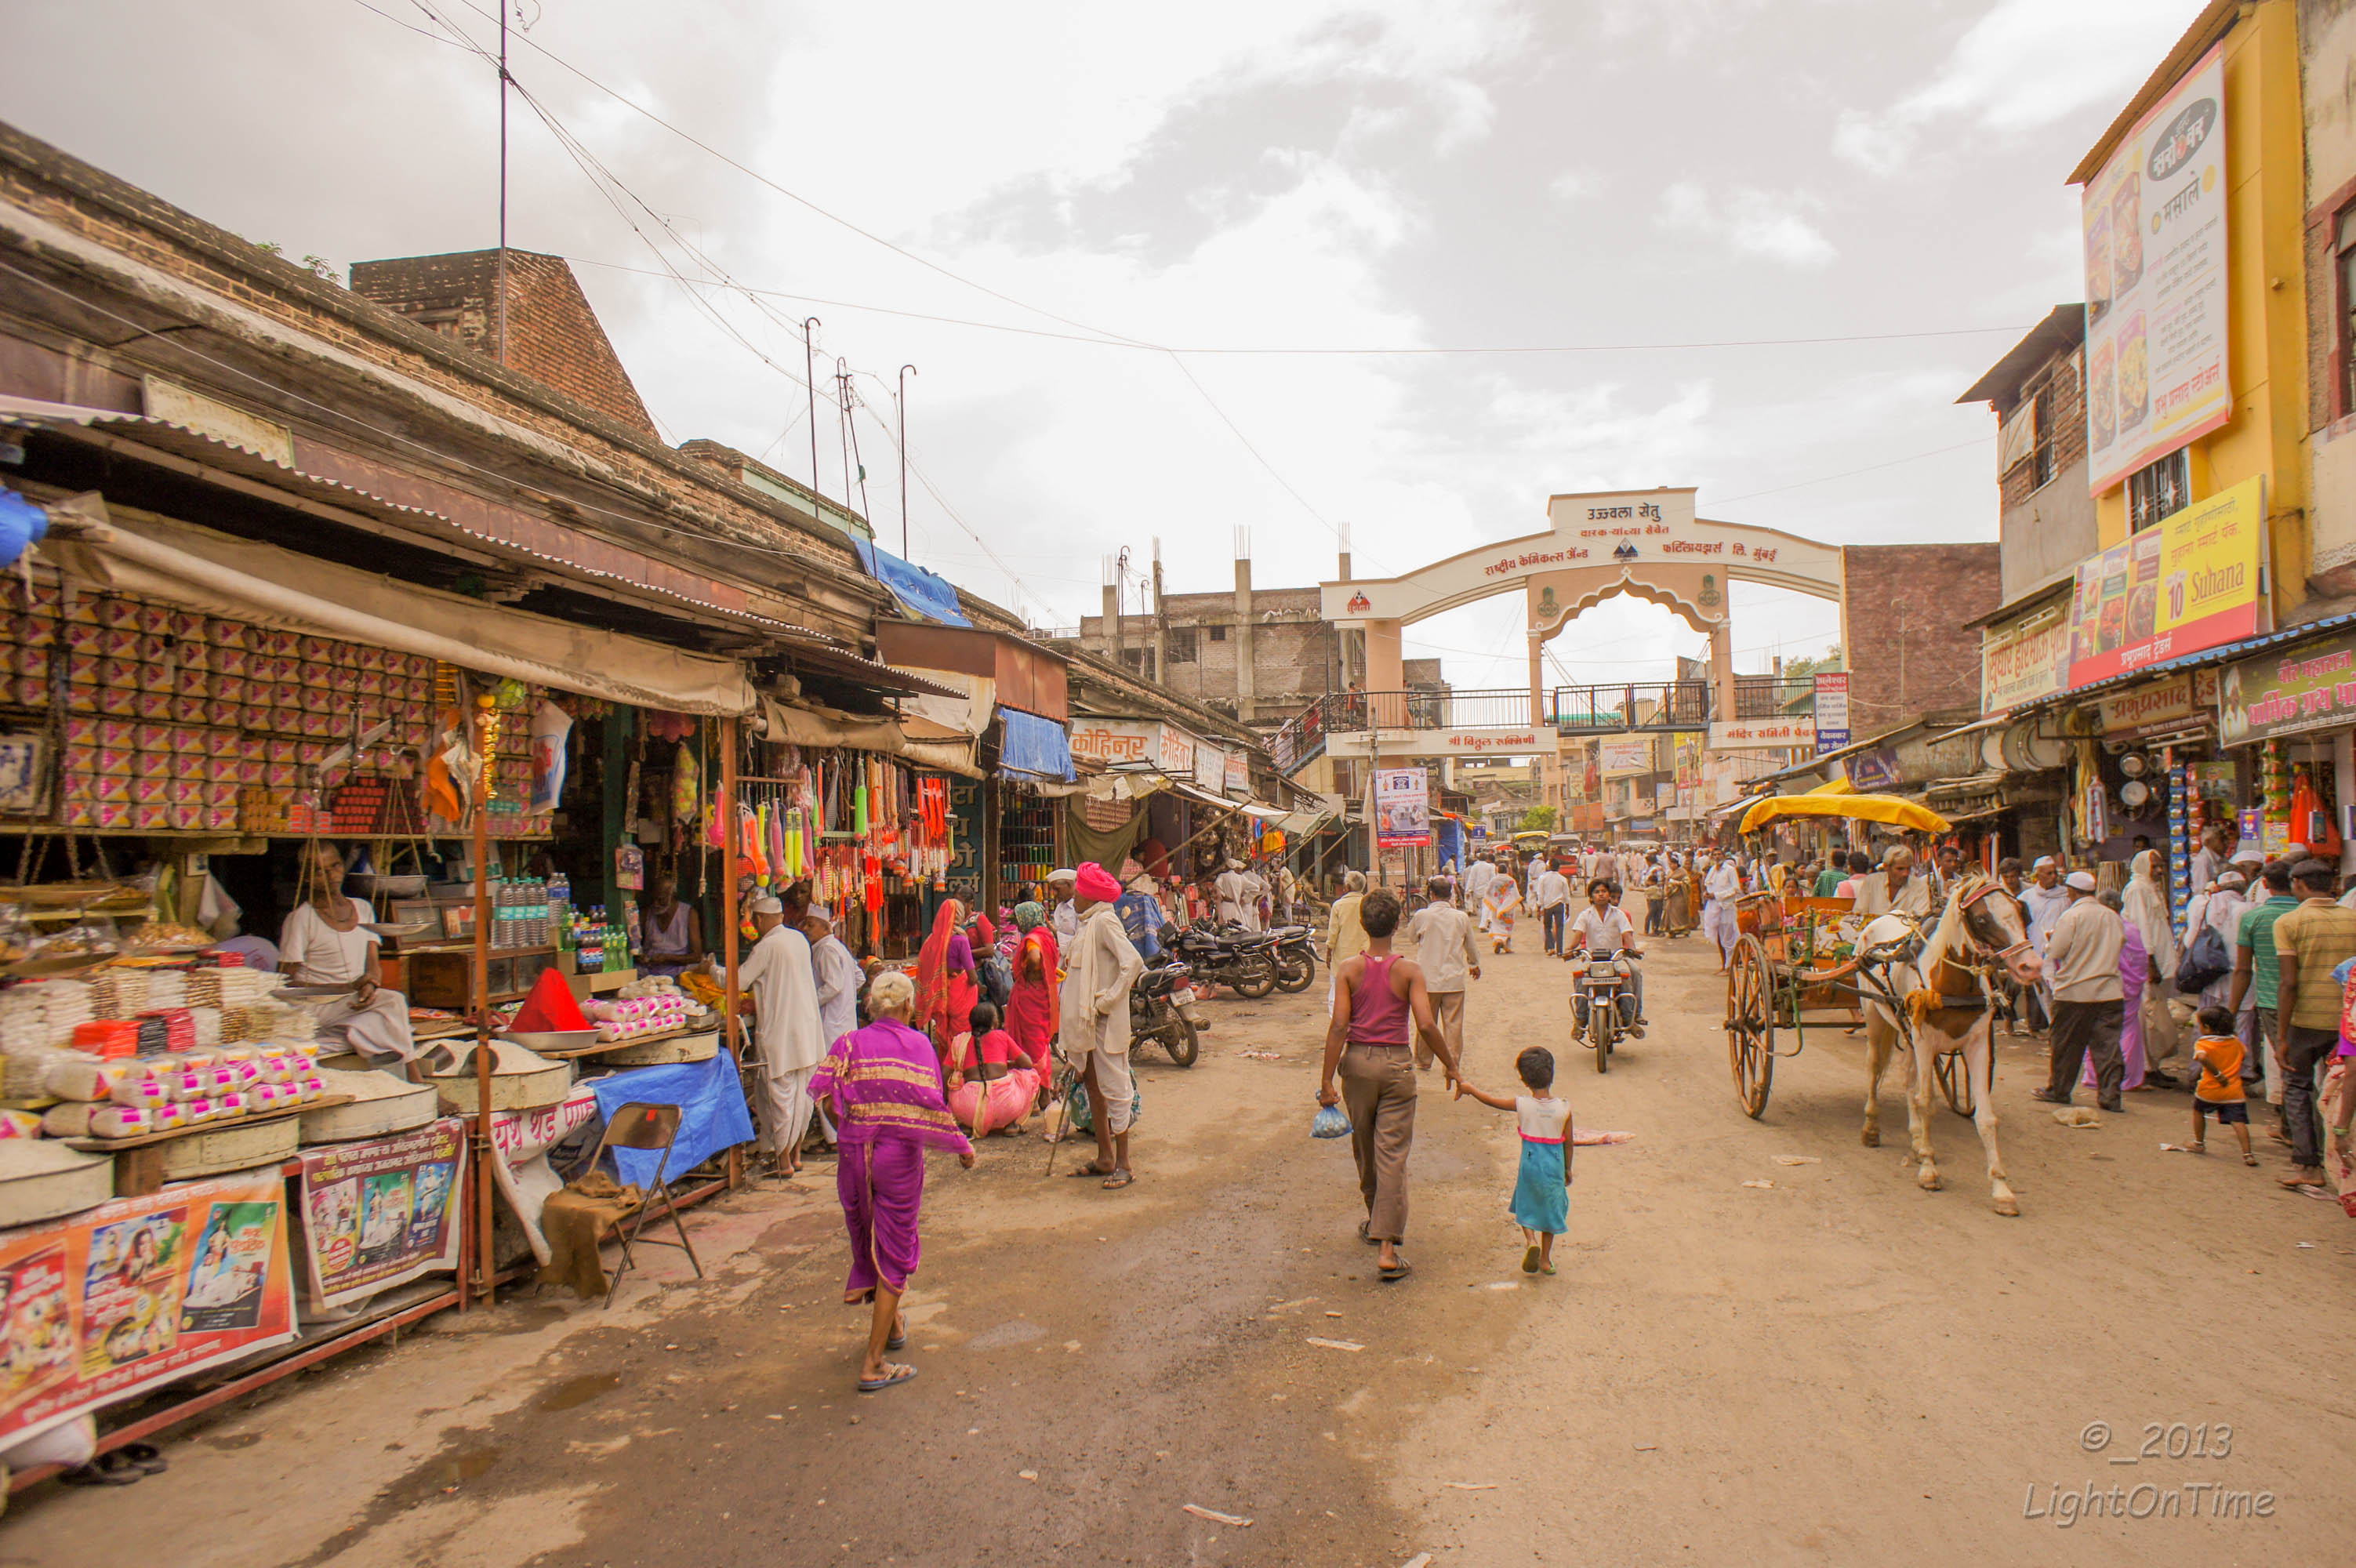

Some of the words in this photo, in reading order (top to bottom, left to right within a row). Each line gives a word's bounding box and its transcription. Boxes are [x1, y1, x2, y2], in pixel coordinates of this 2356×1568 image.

[2146, 112, 2210, 181] सरोवर
[2155, 166, 2206, 227] मसाले
[2187, 353, 2224, 397] स्टोअर्स
[2147, 390, 2176, 424] प्रभु
[2162, 377, 2194, 412] प्रसाद
[1482, 553, 1525, 581] राष्ट्रीय
[1514, 545, 1567, 570] केमिकल्स
[1562, 539, 1592, 564] अ‍ॅन्ड
[1577, 521, 1610, 541] वार क
[1583, 499, 1636, 523] उज्ज्वला
[1607, 521, 1645, 539] यांच्या
[1635, 496, 1668, 524] सेतु
[1640, 517, 1675, 538] सेवेत
[1658, 533, 1727, 557] फर्टिलायझर्स
[1727, 535, 1750, 560] लि.
[1751, 542, 1783, 565] मुंबई
[2165, 538, 2198, 575] सुहाना
[2193, 523, 2220, 555] स्मार्ट
[2186, 558, 2247, 606] Suhana
[2218, 518, 2245, 543] पॅक.
[1812, 667, 1851, 688] क्षानेश्वर
[1984, 634, 2016, 694] सुधीर
[2013, 623, 2054, 680] हरिभाऊ
[2046, 597, 2074, 674] पुली
[2118, 640, 2156, 673] प्रभूप्रसाद
[2110, 675, 2198, 728] प्रभुप्रसाद
[2147, 626, 2176, 662] ट्रेडर्स
[2189, 663, 2223, 709] ट्रेड
[2243, 684, 2303, 729] धार्मिक
[2268, 655, 2304, 687] वीर
[2295, 678, 2337, 720] ग्रंथ
[2298, 644, 2354, 684] महाराज
[1067, 719, 1149, 766] कोहिनूर
[1157, 722, 1197, 777] कोहिनूर
[1443, 730, 1466, 751] श्री
[1459, 729, 1494, 757] विठ्ठल
[1494, 729, 1539, 750] रुक्मिणी
[1724, 722, 1756, 742] मंदिर
[1755, 720, 1792, 742] समिती
[2068, 1407, 2247, 1472] ©_2013
[2022, 1477, 2184, 1534] LightOn
[2181, 1477, 2279, 1523] Time